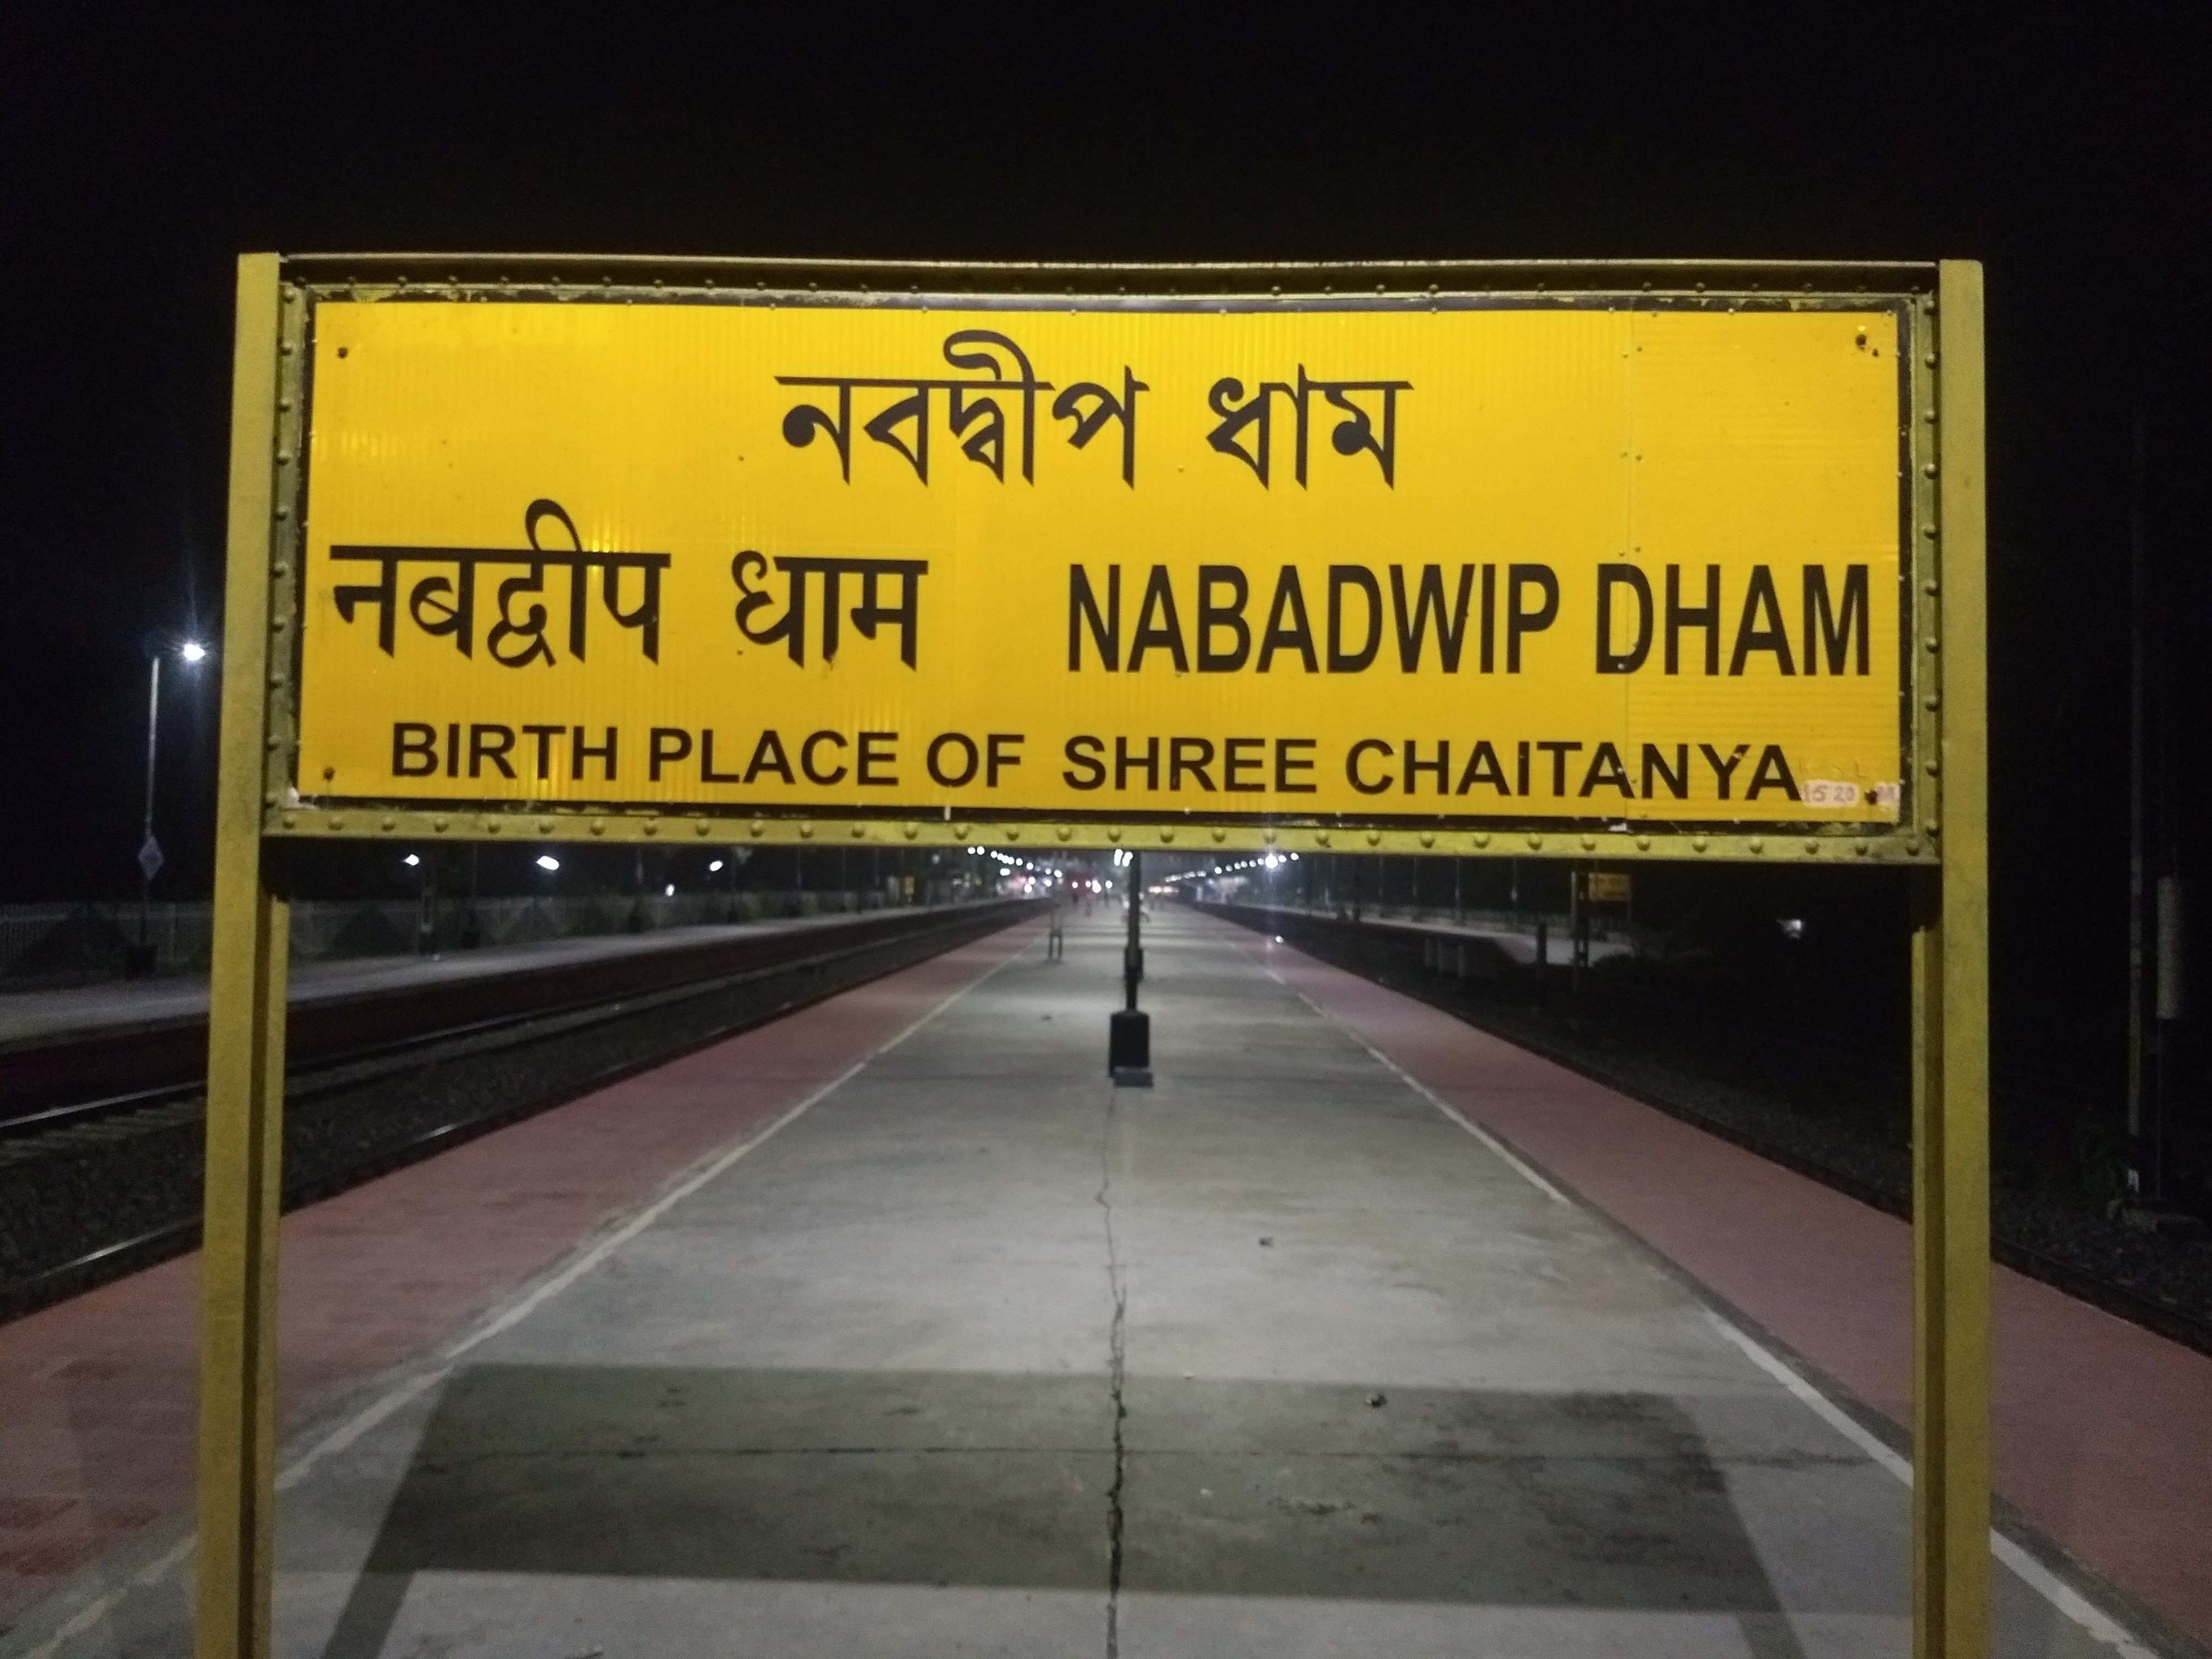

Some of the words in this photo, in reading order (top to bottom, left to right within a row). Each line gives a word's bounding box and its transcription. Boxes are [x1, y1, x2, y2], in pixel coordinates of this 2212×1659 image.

[775, 318, 1151, 496] নবদ্বীপ
[1193, 354, 1420, 498] ধাম
[324, 489, 676, 674] नबद्वीप
[719, 544, 935, 682] धाम
[1063, 557, 1568, 680] NABADWIP
[1581, 550, 1873, 687] DHAM
[385, 711, 627, 790] BIRTH
[645, 720, 905, 791] PLACE
[919, 719, 1035, 798] OF
[1056, 721, 1323, 799] SHREE
[1339, 723, 1806, 810] CHAITANYA